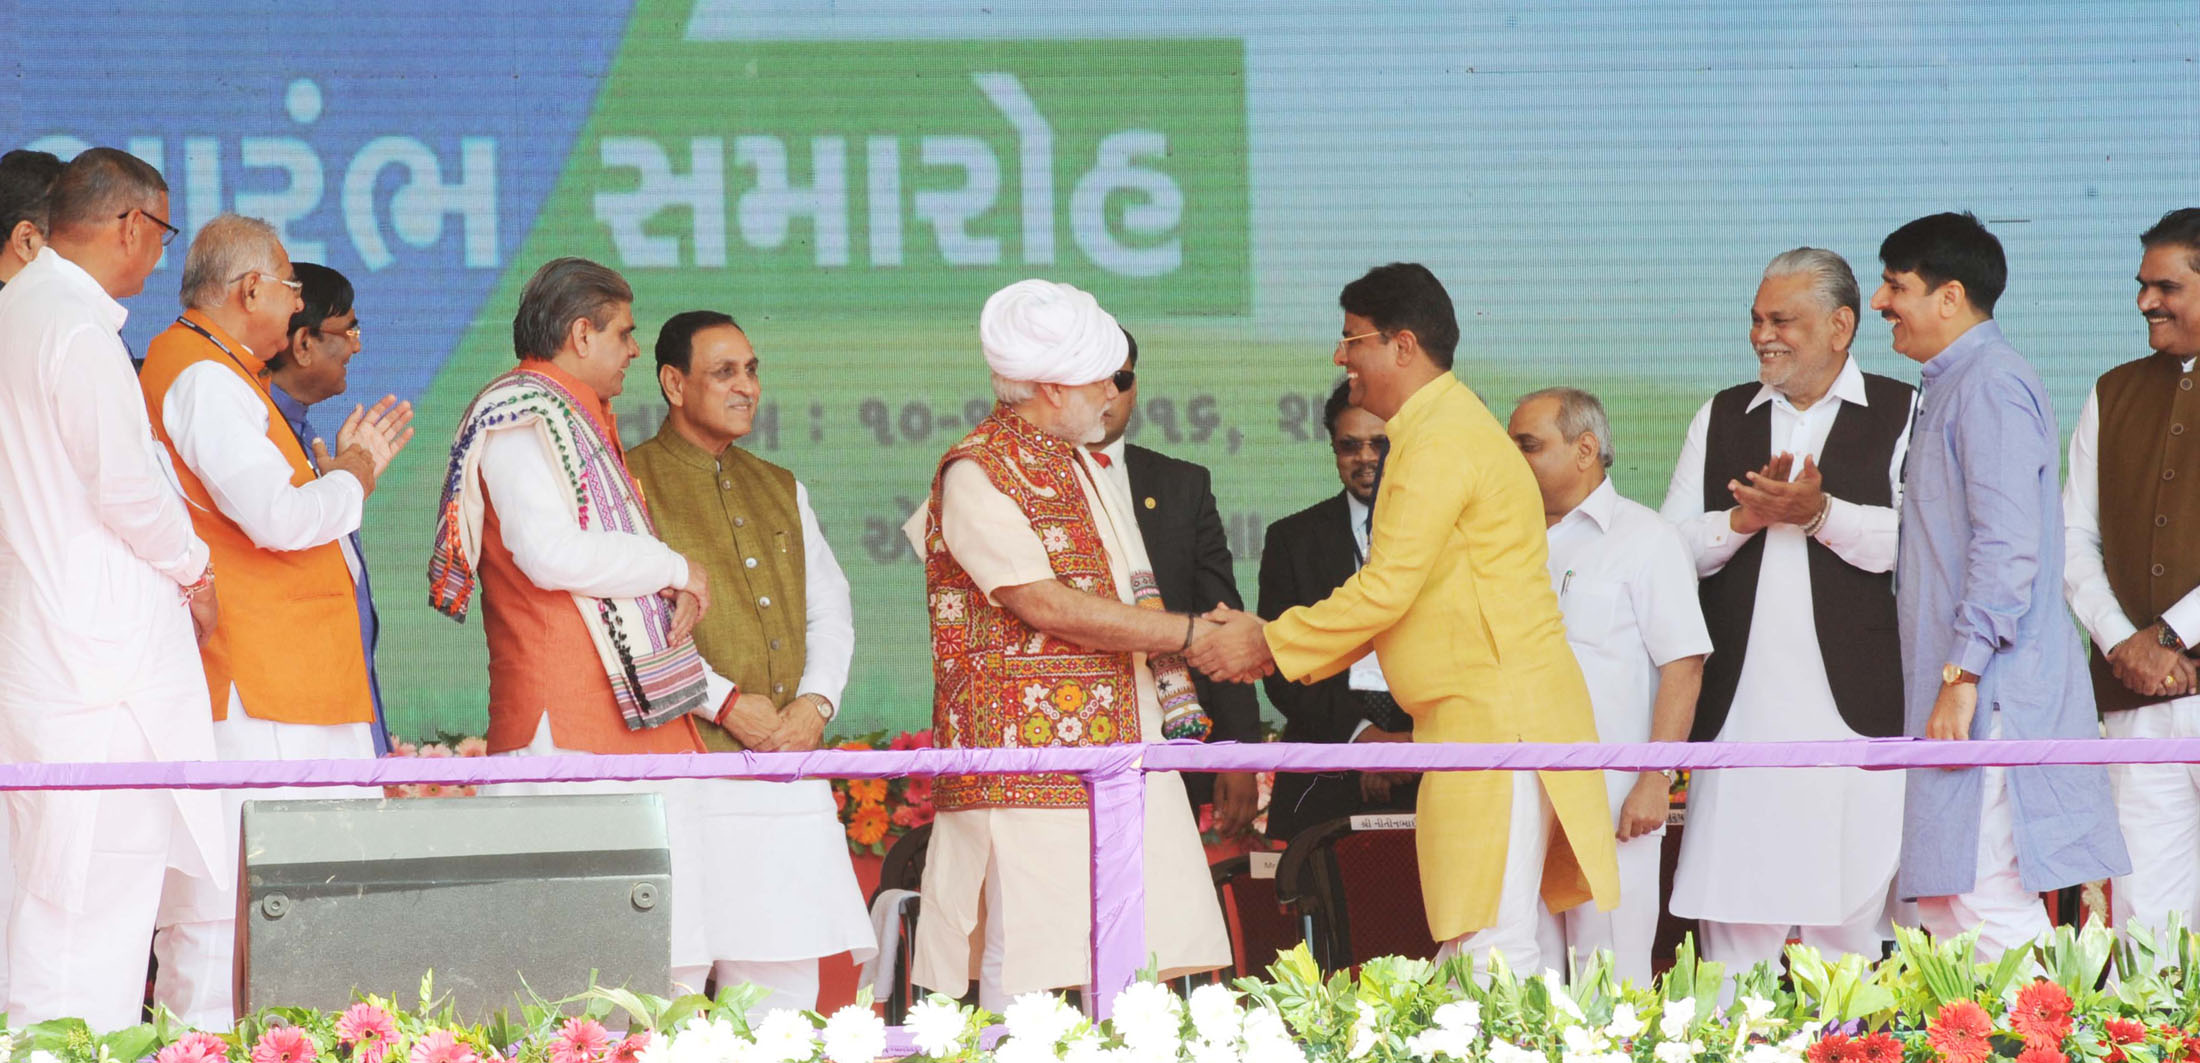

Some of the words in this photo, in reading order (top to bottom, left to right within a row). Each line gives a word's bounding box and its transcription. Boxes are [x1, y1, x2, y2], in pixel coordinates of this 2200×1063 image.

[328, 112, 510, 290] ભ
[582, 54, 1203, 290] સમારોહ
[842, 383, 940, 460] ૧૦
[1144, 391, 1229, 456] ૧૬
[1275, 389, 1330, 446] શ